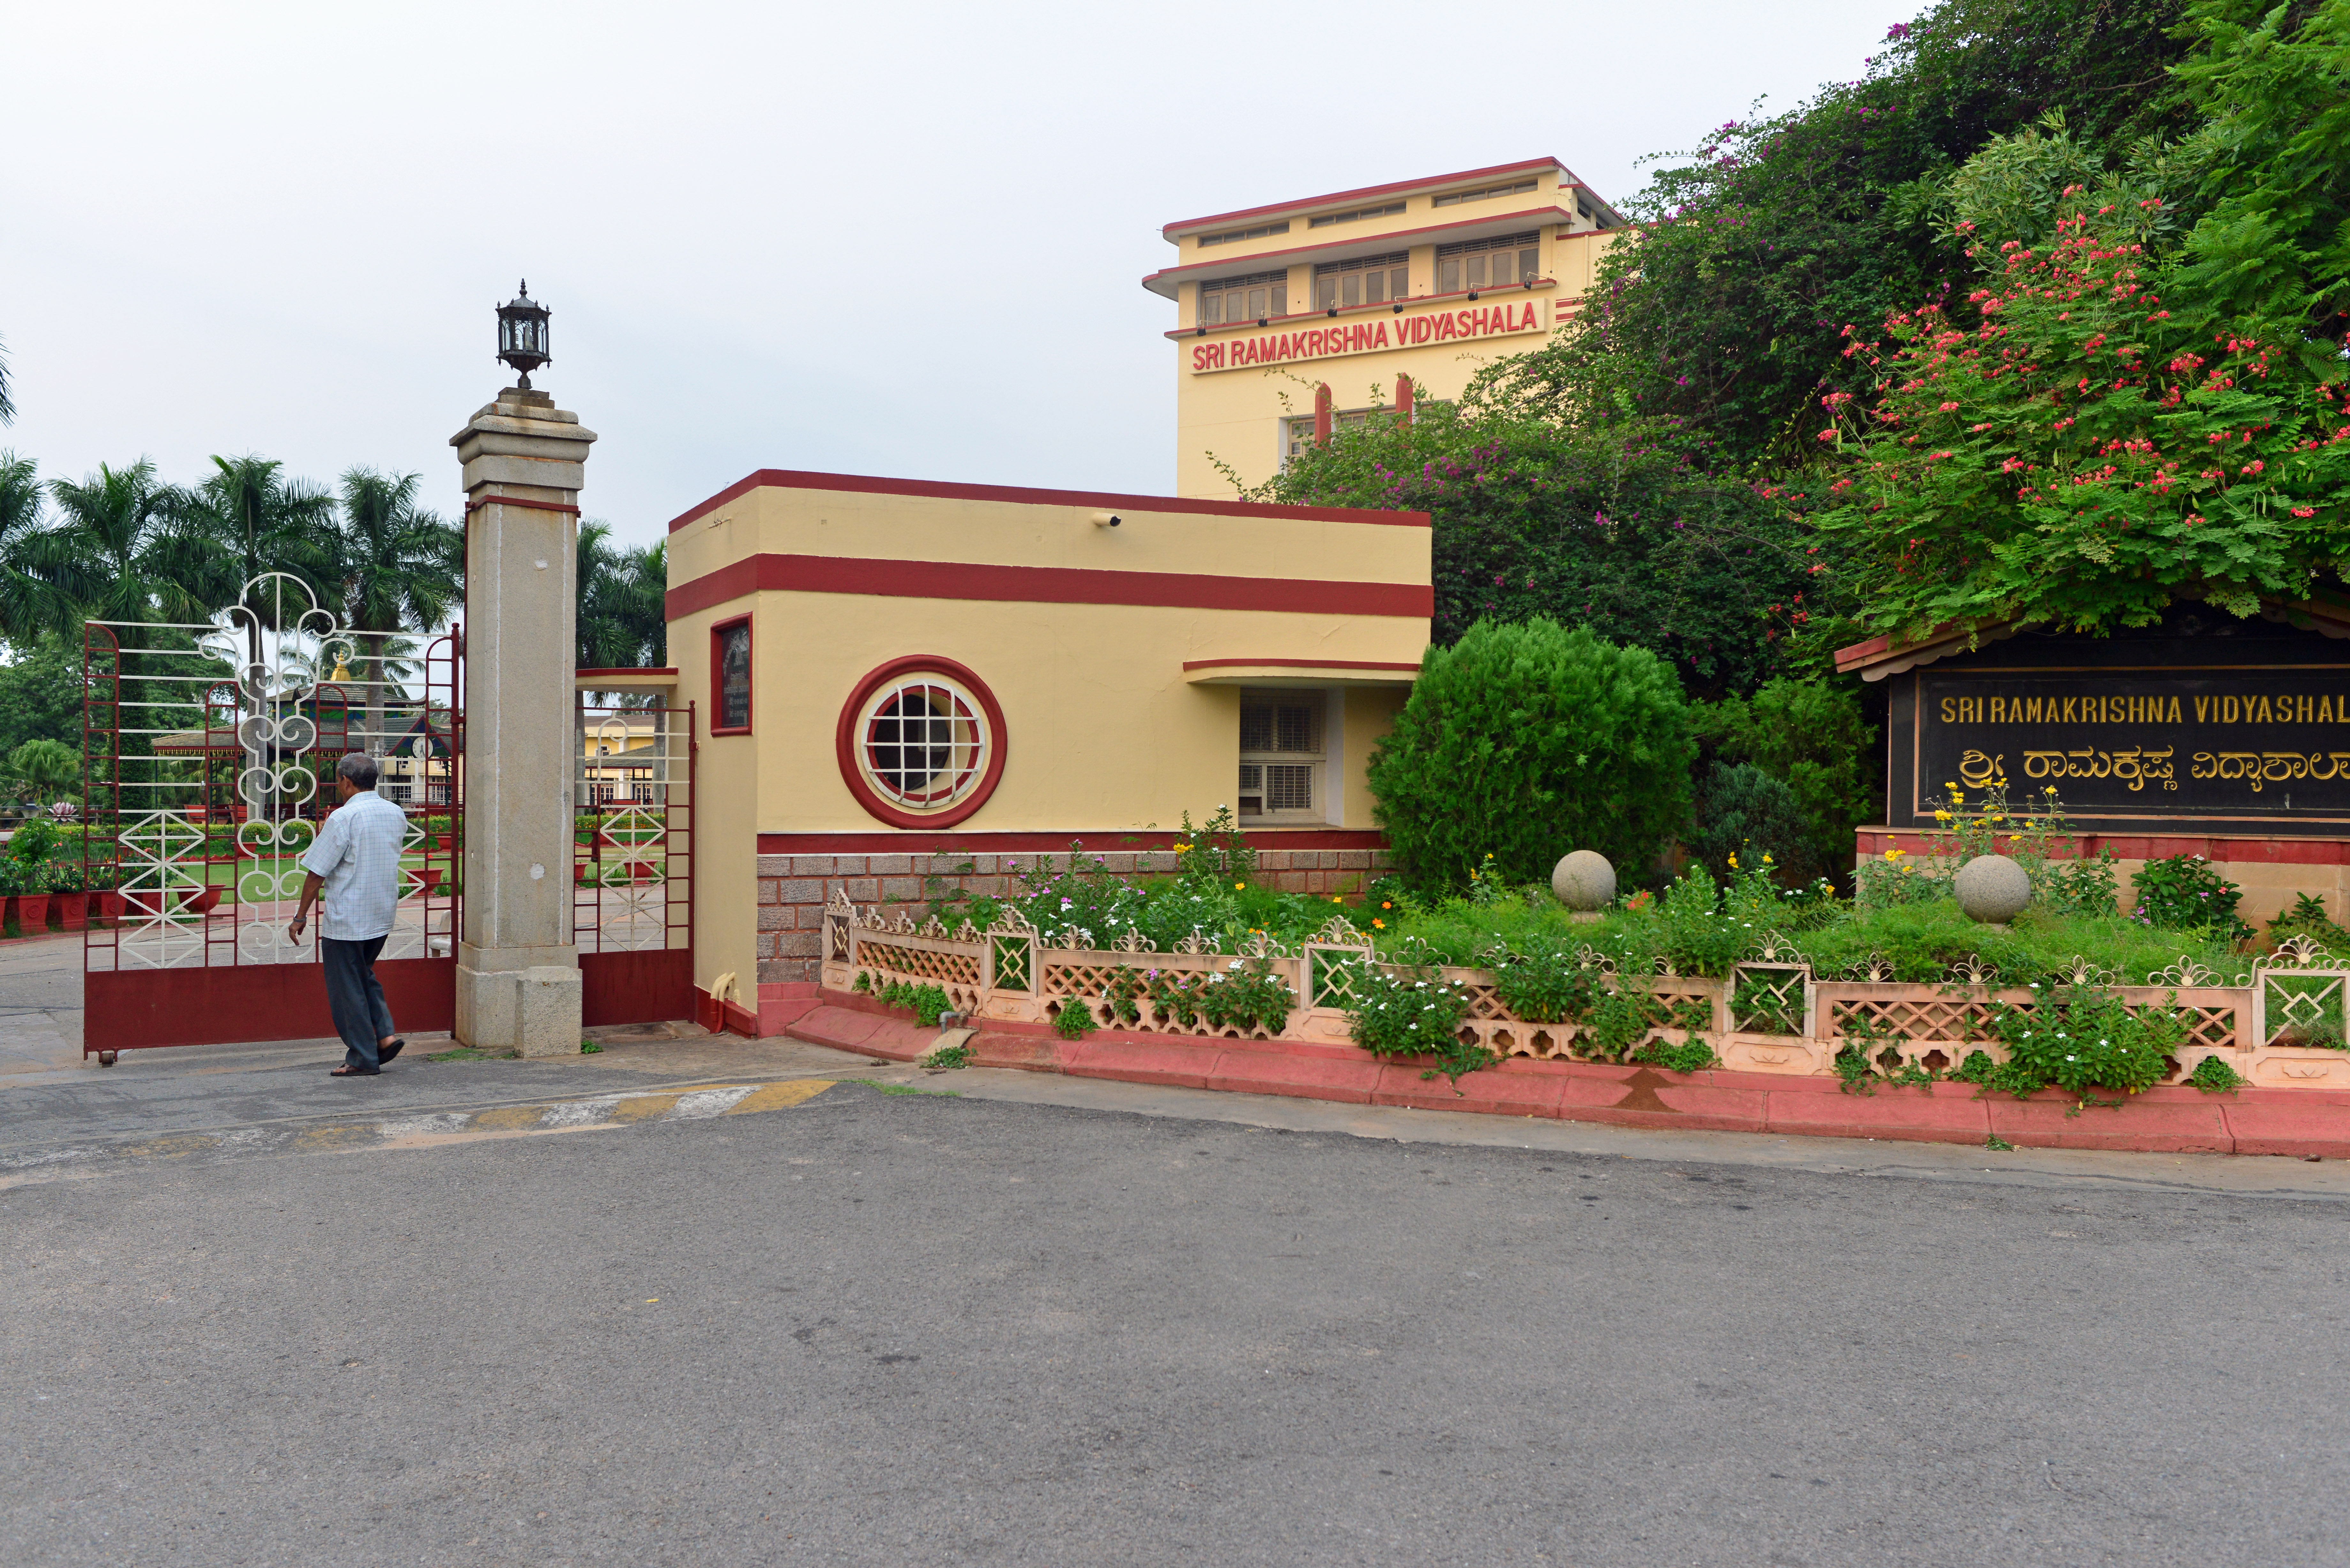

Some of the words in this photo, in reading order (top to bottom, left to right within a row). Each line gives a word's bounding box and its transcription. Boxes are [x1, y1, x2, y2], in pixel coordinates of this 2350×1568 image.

[1190, 341, 1225, 371] SRI
[1230, 320, 1390, 368] RAMAKRISHNA
[1394, 301, 1539, 347] VIDYASHALA
[1938, 688, 1985, 727] SRI
[1987, 693, 2185, 726] RAMAKRISHNA
[2194, 693, 2349, 726] VIDYASHAL
[1957, 745, 2007, 793] ಶ್ರೀ
[2016, 742, 2181, 794] ರಾಮಕೃಷ್ಣ
[2187, 750, 2348, 793] ವಿದ್ಯಾಶಾಲಾ